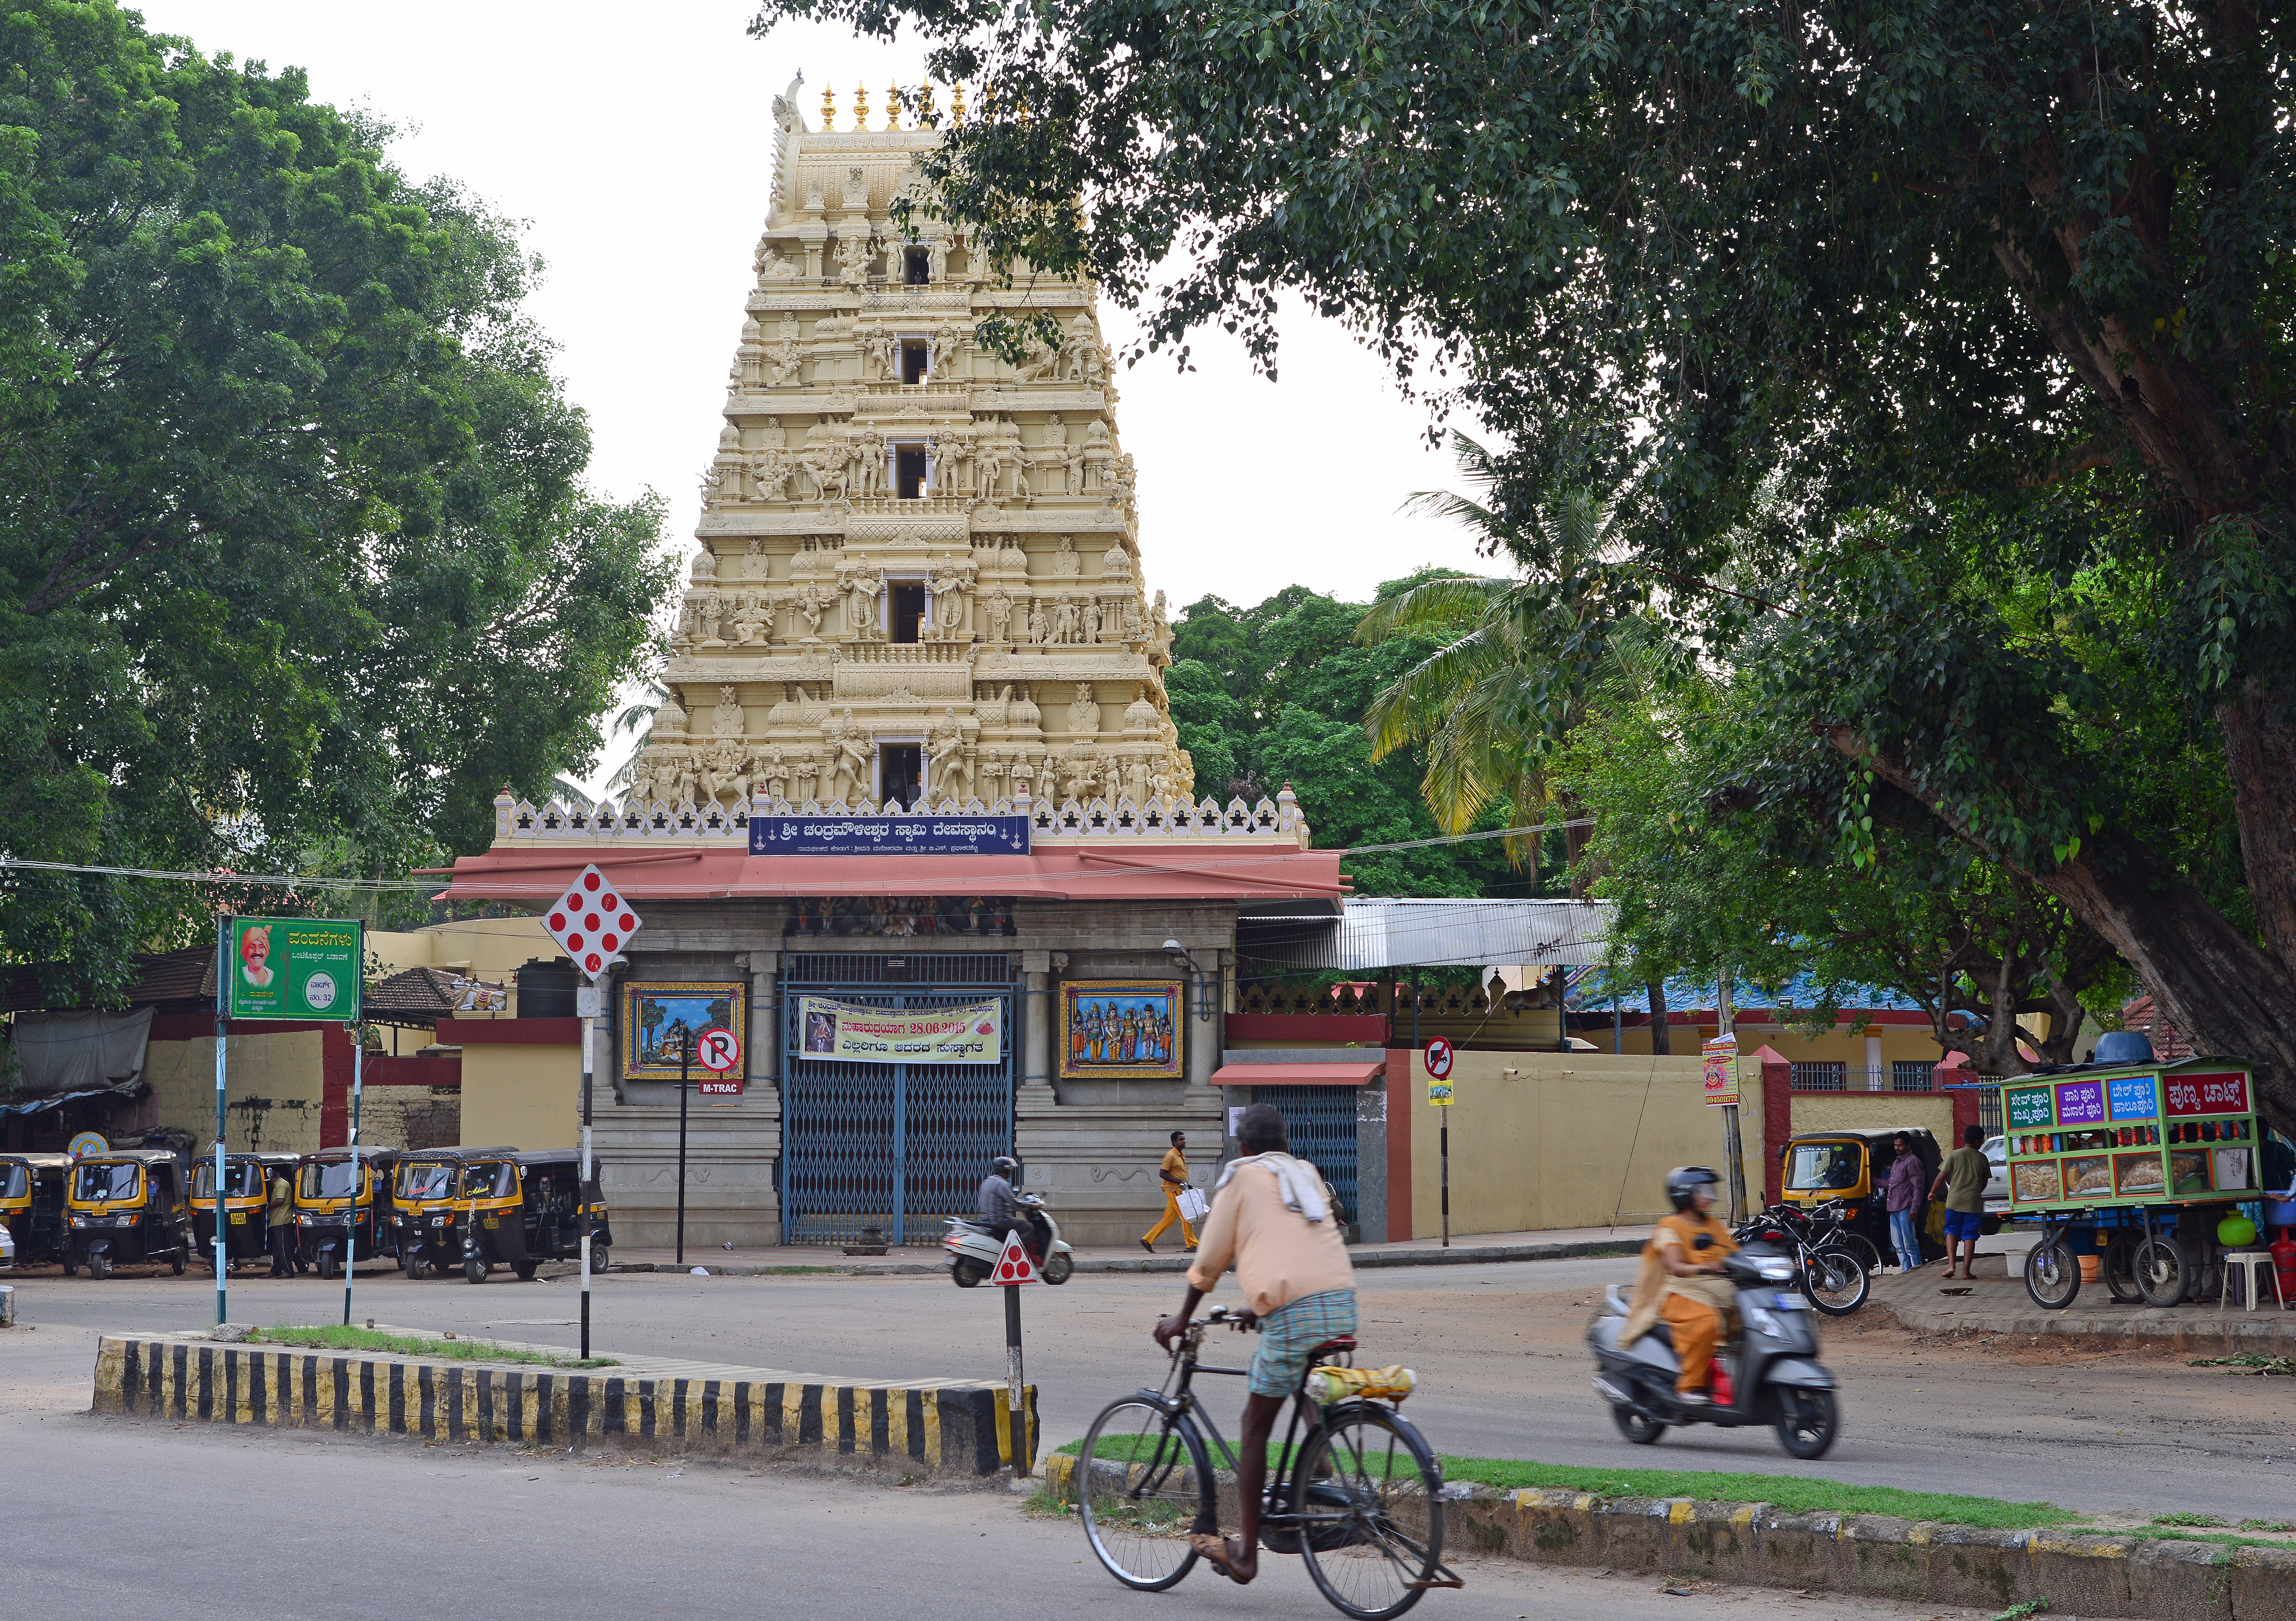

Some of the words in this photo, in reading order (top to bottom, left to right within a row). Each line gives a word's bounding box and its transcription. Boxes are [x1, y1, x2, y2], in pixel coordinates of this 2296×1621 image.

[776, 820, 798, 845] ಶ್ರೀ
[803, 820, 890, 844] ಚಂದ್ರಮೌಳೀಶ್ವರ
[893, 821, 929, 844] ಸ್ವಾಮಿ
[931, 820, 997, 845] ದೇವಸ್ಥಾನಂ
[796, 842, 831, 853] ನಾಮಫಲಕದ
[829, 844, 850, 853] ಕೊಡುಗೆ
[851, 843, 872, 855] ಶ್ರೀಮತ
[871, 844, 904, 854] ಮನೋರಮಾ
[918, 843, 928, 855] ಶ್ರೀ
[926, 843, 949, 853] ಬಿ.ಎಸ್.
[950, 843, 980, 855] ಪ್ರಭಾಕರ ಶೆಟ್ಟ
[286, 929, 355, 948] ವಂದನೆಗಳು
[290, 949, 325, 964] ಒಂಟಿಕೊಪ್ಪಲ್
[325, 952, 349, 962] ಬಡಾವಣೆ
[307, 979, 332, 991] ವಾಡ್೯
[240, 988, 276, 1000] ಸಿ.ಮಹದೇಶ್
[309, 992, 333, 1002] ನಂ32
[806, 995, 818, 1013] ಶ್ರೀ
[816, 1001, 843, 1013] ಚಂದ್ರಮೌ
[840, 1005, 873, 1017] ರೇಶ್ವರಸ್ವಾಮಿ
[874, 1008, 906, 1019] ದೇವಸ್ಥಾನಂ
[906, 1007, 939, 1019] ಛಾರಿಬಬಲ್
[956, 1004, 966, 1016] (0)
[968, 1001, 995, 1016] ಮೈಸೂರು
[839, 1018, 906, 1039] ಮಹಾರುದ್ರಯಾಗ
[907, 1019, 966, 1037] 28.06.2015
[840, 1038, 889, 1055] ಎಲ್ಲರಿಗೂ
[893, 1038, 932, 1053] ಆದರದ
[935, 1038, 986, 1059] ಸುಸ್ವಾಗತ
[1700, 1043, 1709, 1053] ಶ್ರೀ
[1702, 1049, 1721, 1058] ಜ್ಯೋರಷ
[1720, 1046, 1736, 1058] ಕೇಂದ್ರ
[701, 1083, 738, 1094] M-TRAC
[2009, 1091, 2050, 1109] ಸೇವ್ ಪೂರಿ
[2011, 1105, 2050, 1126] ಸುಖ್ಖಪೂರಿ
[2064, 1086, 2081, 1104] ಪಾನಿ
[2061, 1101, 2086, 1120] ಮಸಾಲೆ
[2078, 1085, 2097, 1105] ಪೂರಿ
[2084, 1099, 2103, 1123] ಪೂರಿ
[2109, 1079, 2152, 1101] ಬೇಲ್ ಪೂರಿ
[2112, 1095, 2155, 1116] ಹಾಲೂಪೂರಿ
[2164, 1079, 2203, 1114] ಪುಣ್ಯ
[2200, 1078, 2244, 1109] ಚಾಟ್ಸ್